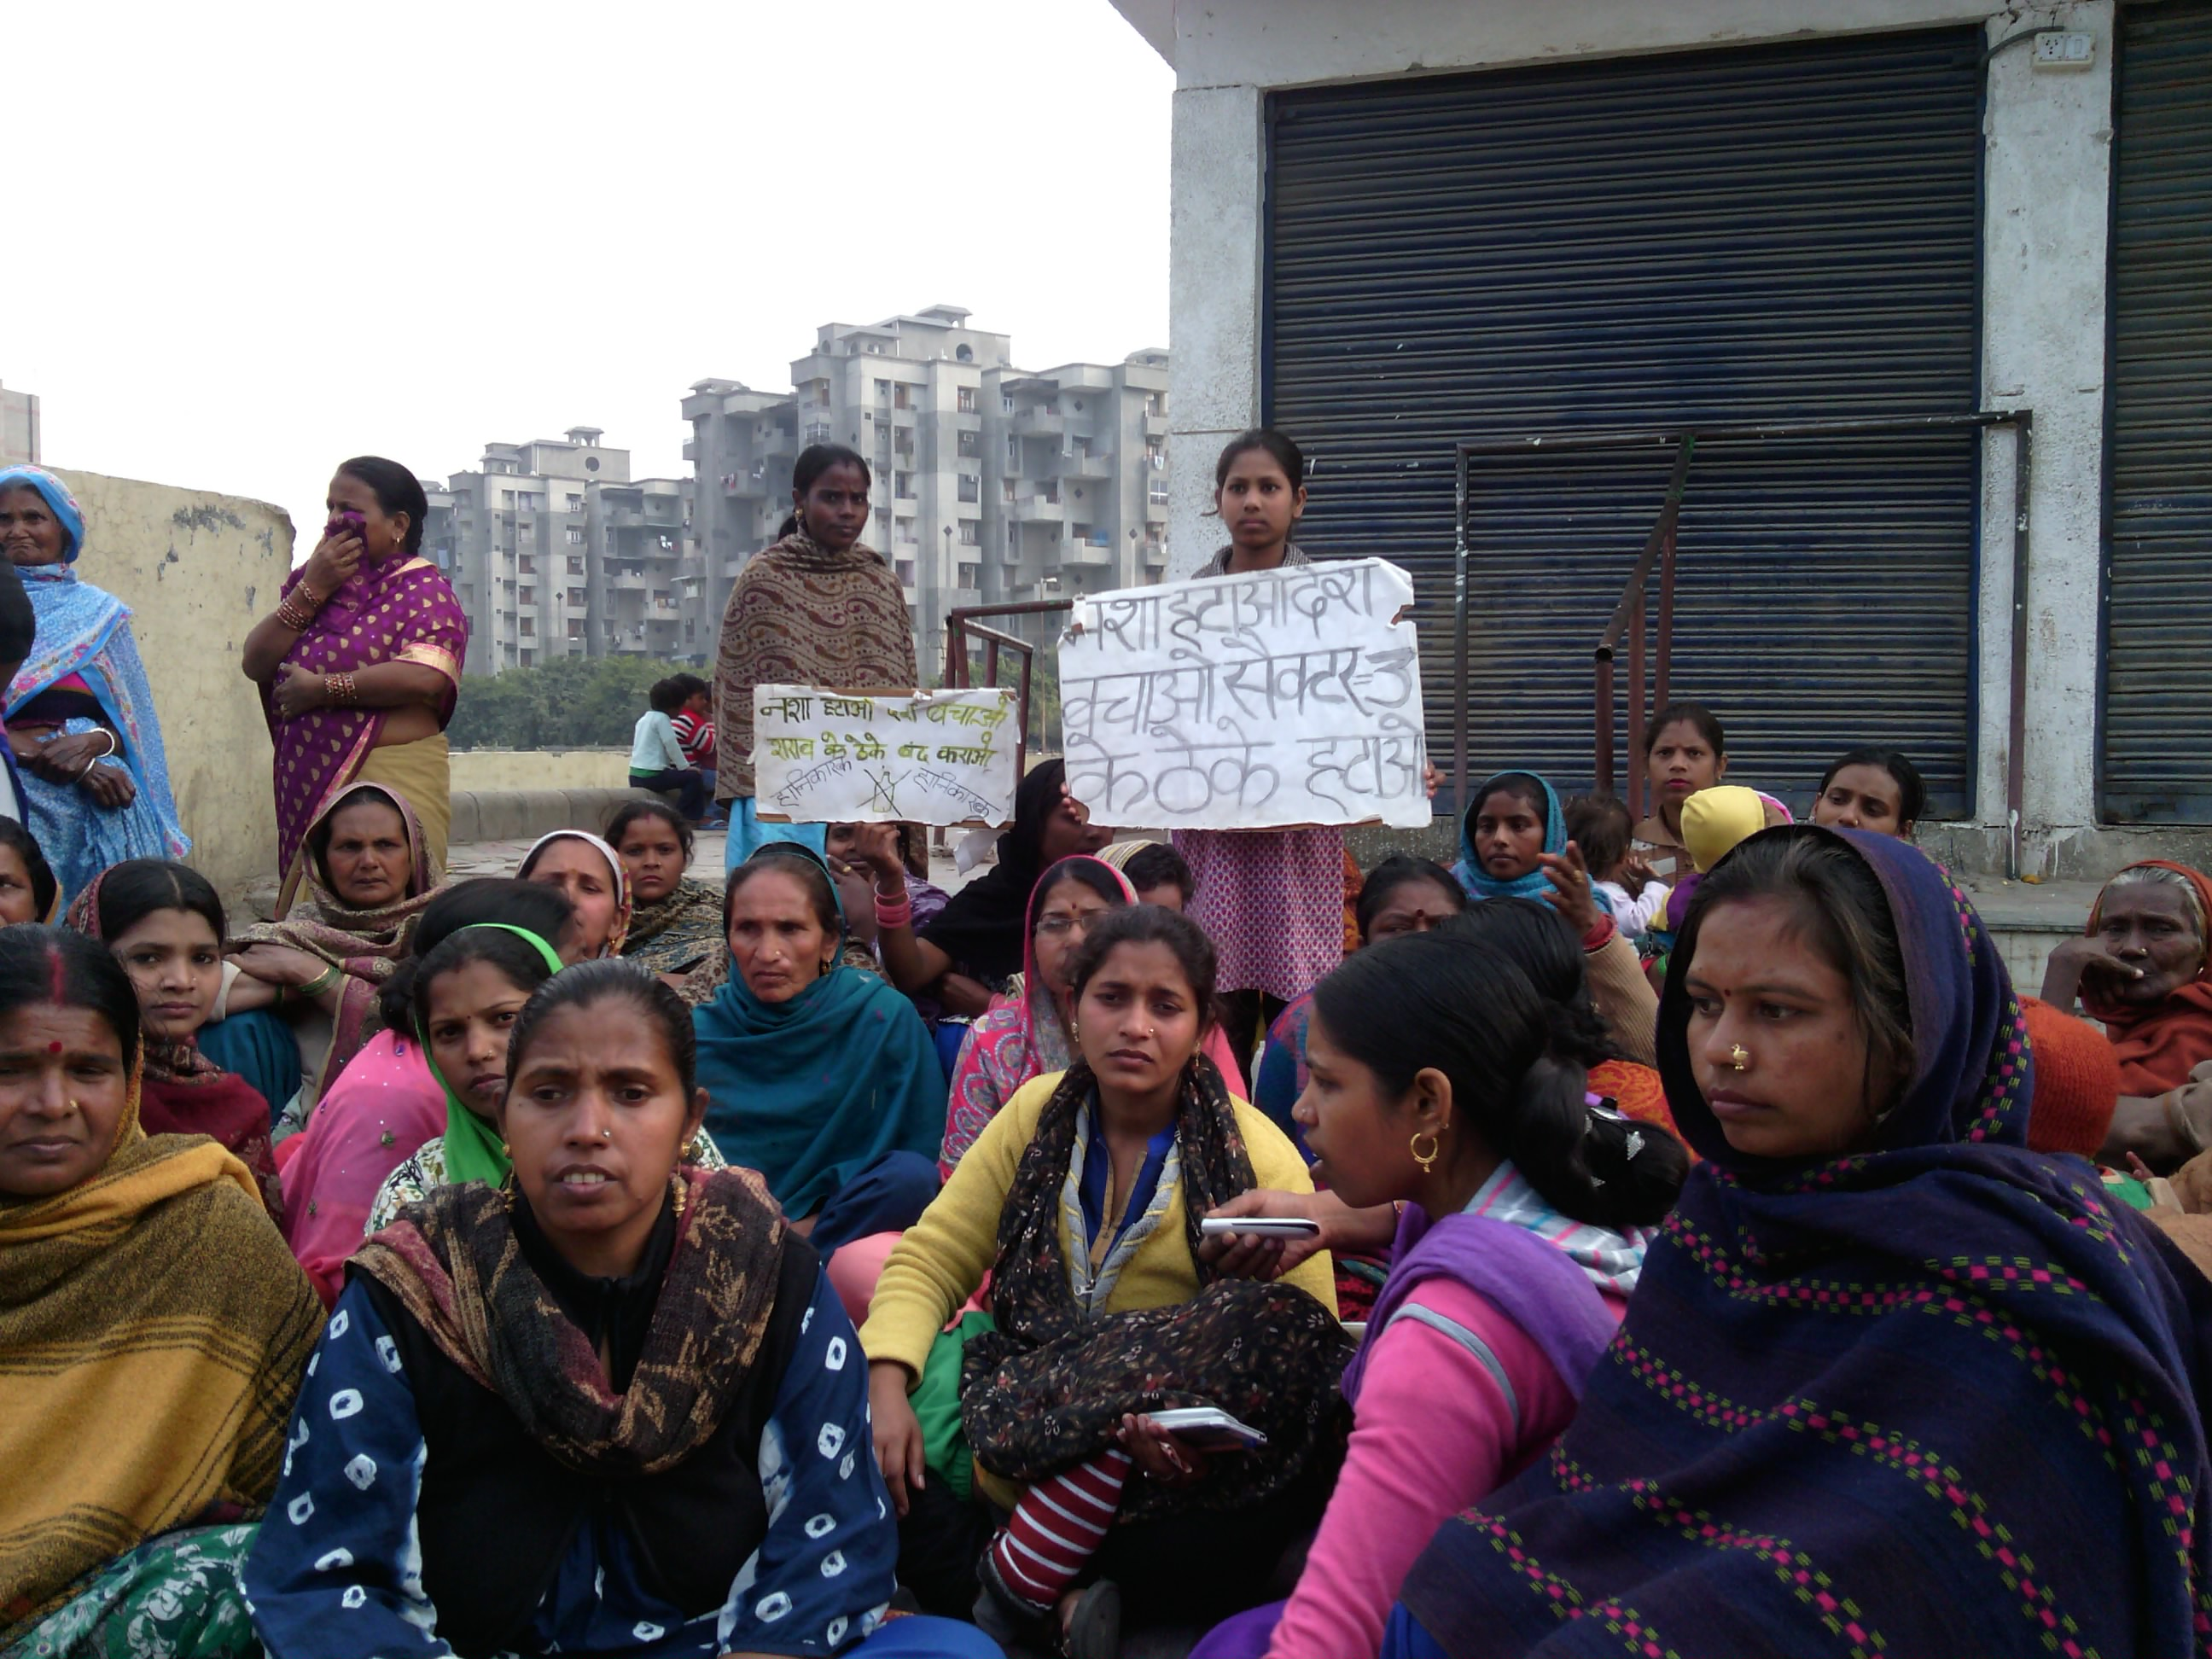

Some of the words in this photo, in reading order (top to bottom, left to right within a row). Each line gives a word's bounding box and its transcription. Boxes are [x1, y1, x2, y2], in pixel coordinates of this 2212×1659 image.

[1058, 590, 1166, 664] नशा
[1164, 556, 1382, 655] हटाओदेश
[754, 690, 818, 726] नशा
[819, 690, 876, 725] हटाओं
[920, 687, 1010, 737] बचाओ
[1059, 644, 1220, 753] बूचाओ
[1218, 618, 1417, 726] सैक्टर=3
[762, 729, 822, 764] शराब
[768, 750, 855, 817] हानिकारक
[818, 725, 848, 761] के
[842, 728, 888, 765] ठेके
[893, 733, 934, 764] बंद
[908, 765, 1004, 824] हानिकारक
[929, 727, 998, 777] कराओ
[1059, 725, 1152, 819] के
[1144, 712, 1286, 817] ठेके
[1296, 707, 1428, 819] हटाओ